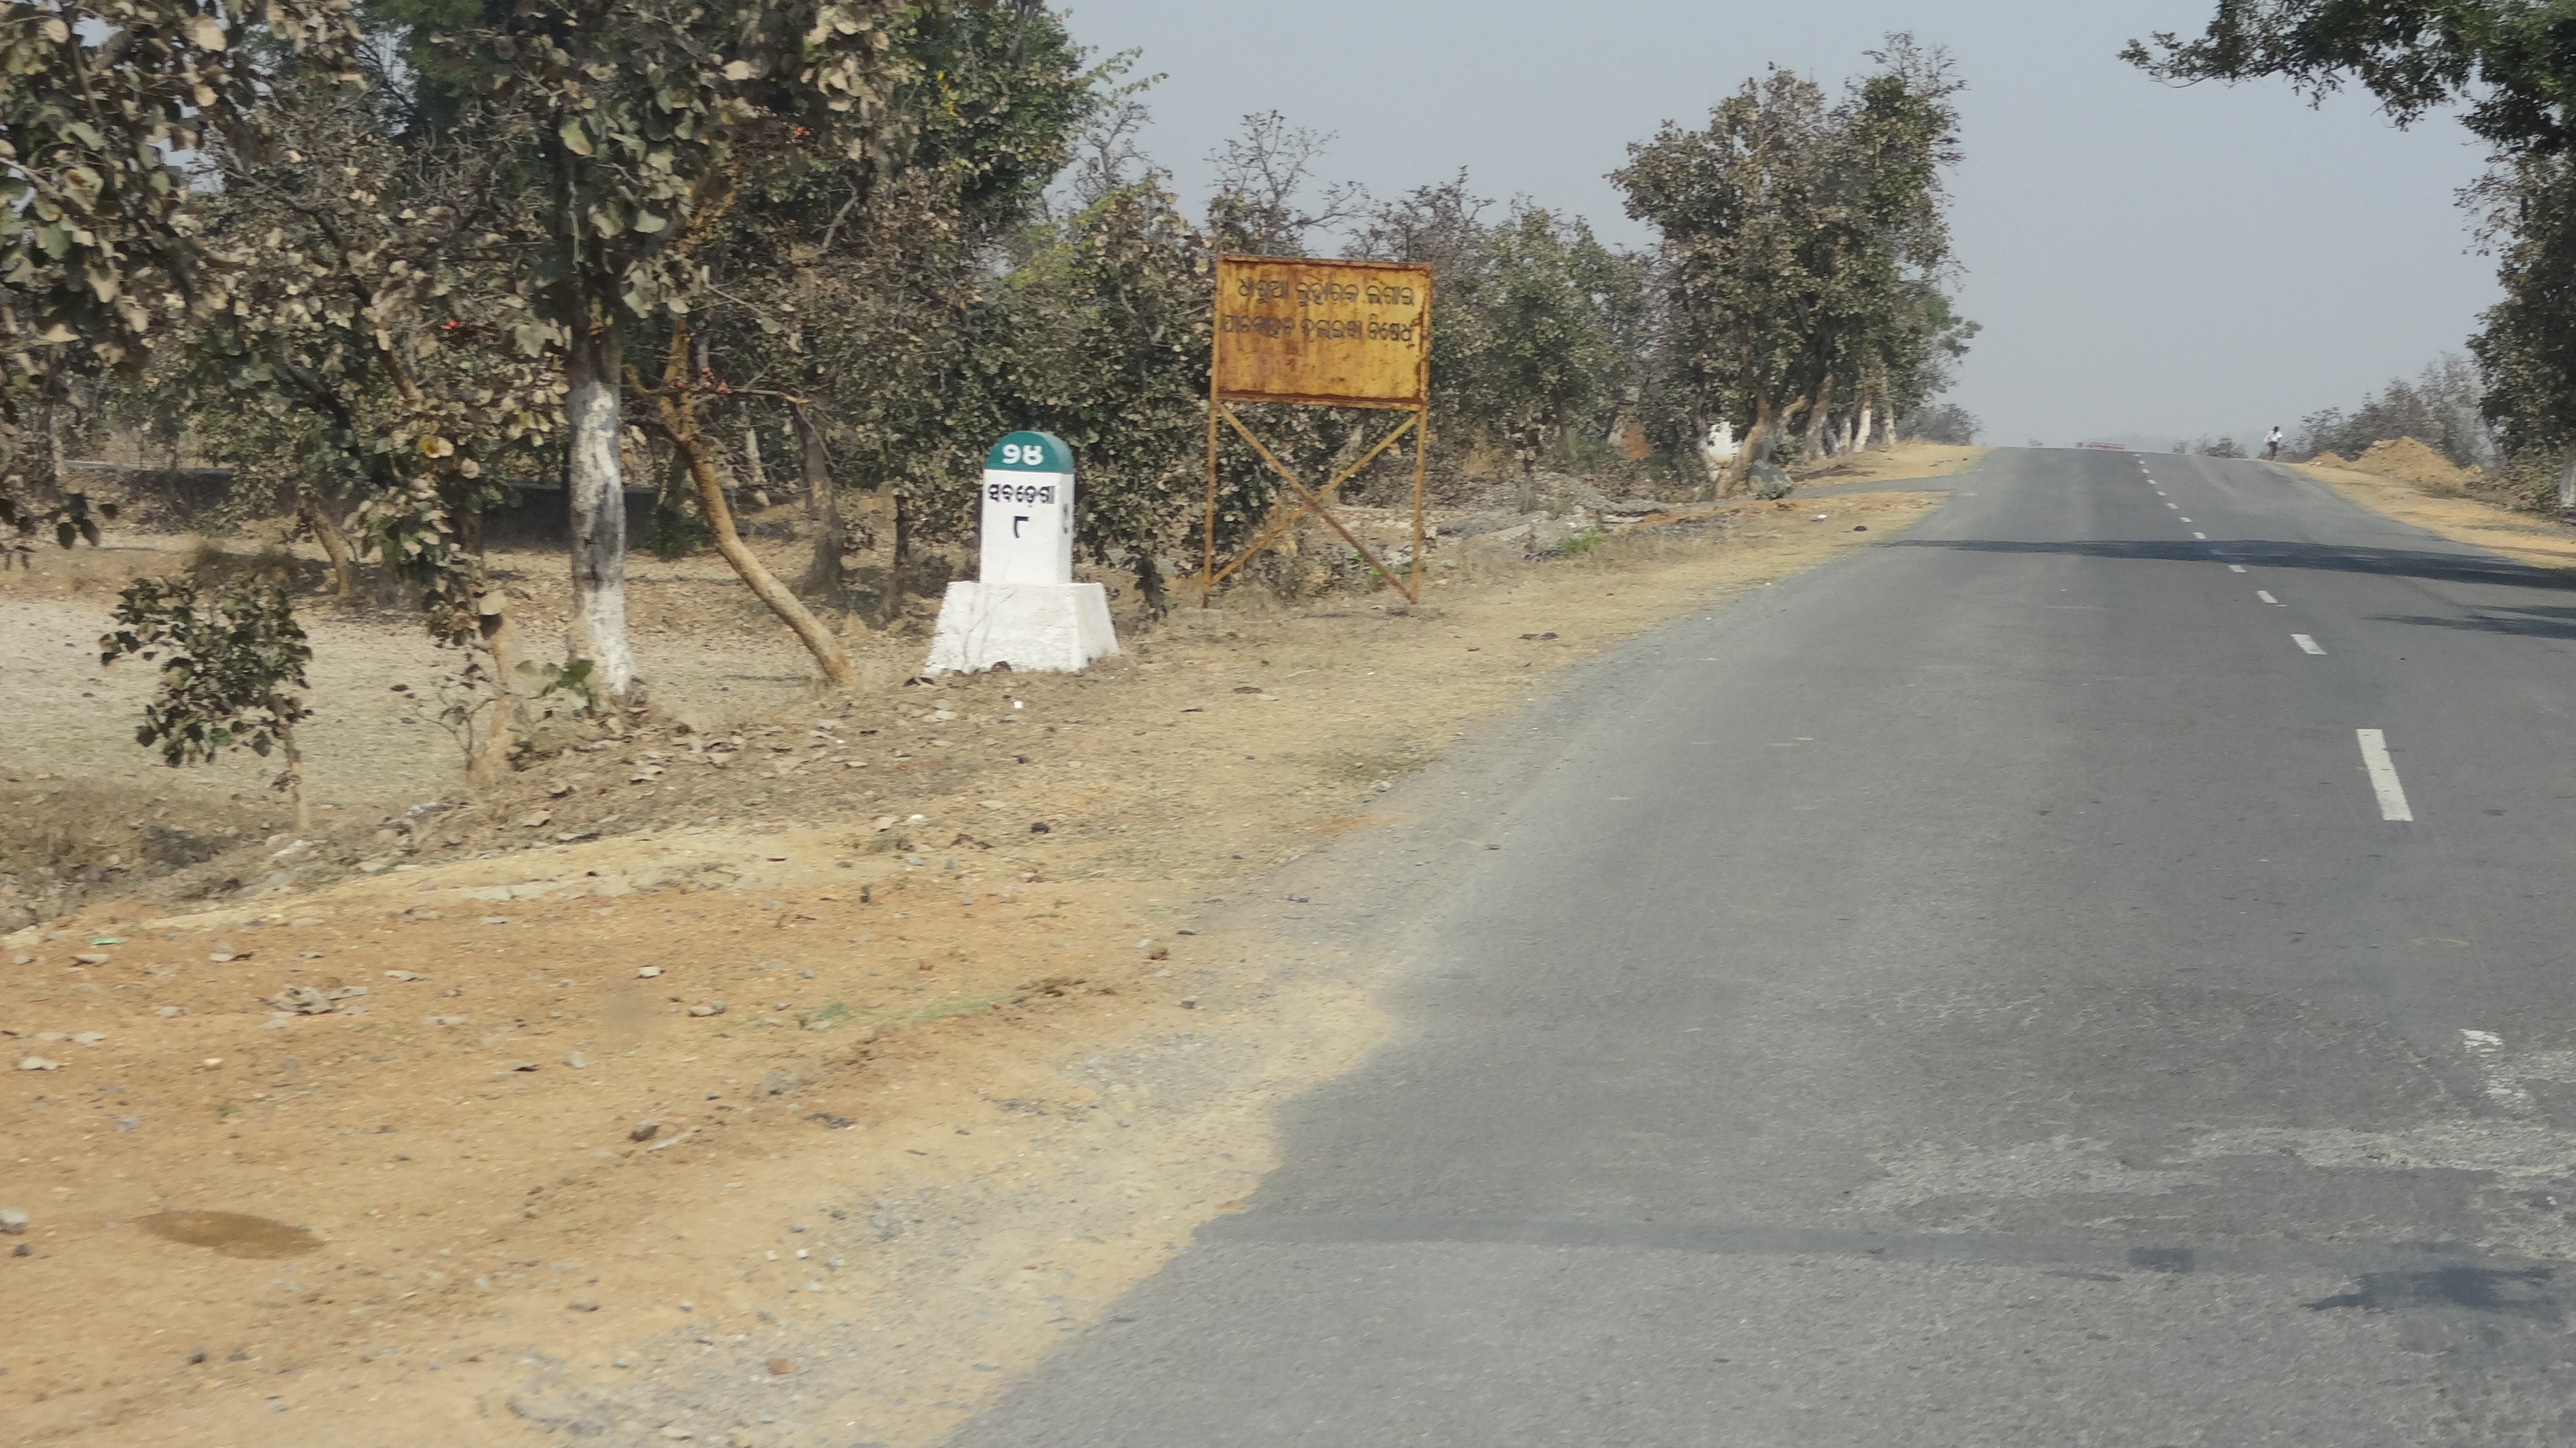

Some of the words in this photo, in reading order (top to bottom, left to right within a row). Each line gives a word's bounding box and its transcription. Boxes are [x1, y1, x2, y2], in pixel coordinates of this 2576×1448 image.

[1364, 280, 1420, 309] ଇଗାର
[1298, 314, 1366, 342] ଚଲଇବା
[1362, 309, 1417, 346] ବିଷେଧୀ